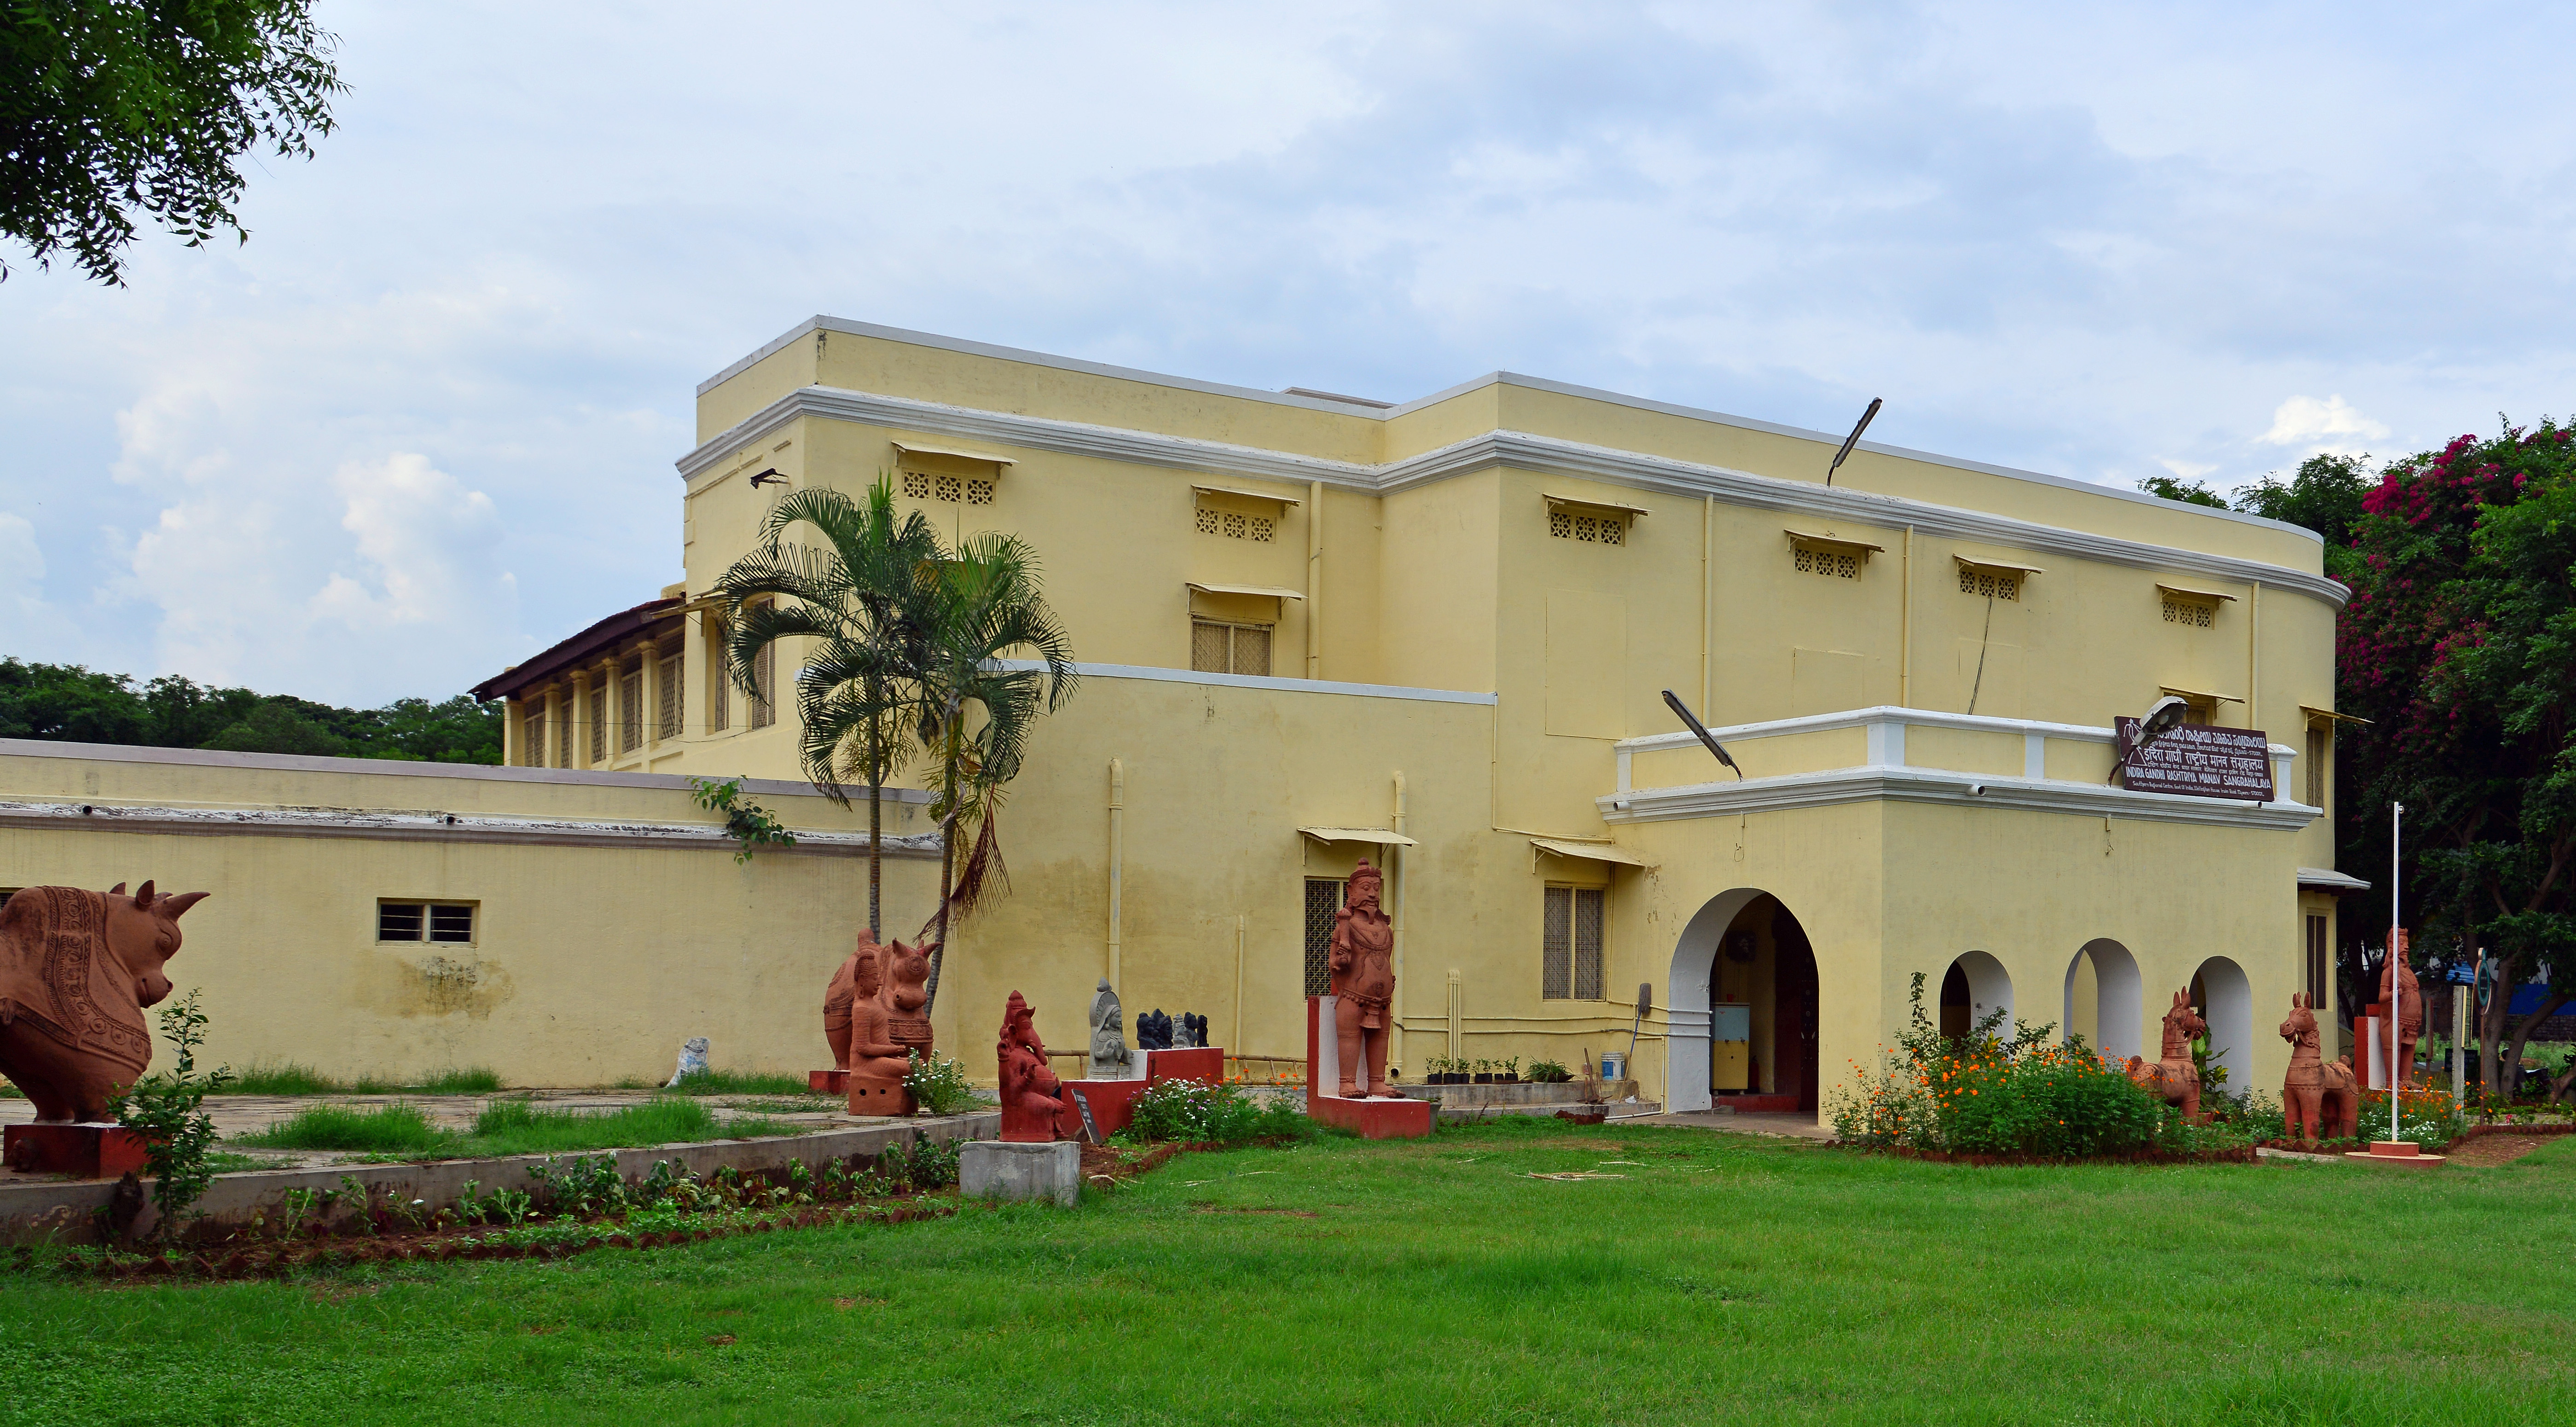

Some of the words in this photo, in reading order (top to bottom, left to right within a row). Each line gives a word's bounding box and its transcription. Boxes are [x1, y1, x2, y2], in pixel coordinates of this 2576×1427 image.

[2182, 725, 2216, 747] ರಾಫೀಯ
[2210, 729, 2269, 751] ಮಾನವ ಸಂಗ್ರಹಾಲಯ
[2124, 763, 2147, 780] INDIRA
[2129, 777, 2151, 789] Southern
[2144, 758, 2160, 770] दक्षिण
[2141, 742, 2166, 764] इन्दिरा
[2142, 766, 2168, 782] GANDHI
[2148, 779, 2164, 790] Refional
[2157, 760, 2173, 770] क्षेत्रीय
[2161, 779, 2175, 790] Centre.
[2163, 748, 2184, 765] गांधी
[2168, 760, 2181, 772] केन्द्र
[2172, 781, 2184, 793] Govt
[2164, 769, 2200, 785] RASHTRIYA
[2179, 782, 2187, 792] of
[2179, 764, 2192, 772] भारत
[2188, 764, 2204, 774] सरकार
[2184, 750, 2210, 768] राष्ट्रीय
[2197, 772, 2223, 787] MANAV
[2202, 764, 2219, 775] वेलिंगटन
[2209, 745, 2221, 755] Est
[2208, 753, 2229, 769] मानव
[2216, 767, 2229, 776] हाउस
[2225, 764, 2239, 778] इरविन
[2228, 789, 2239, 796] Road
[2237, 767, 2246, 778] रोड
[2227, 751, 2265, 774] संग्रहालय
[2222, 772, 2274, 790] SANGRAHALAYA
[2232, 745, 2265, 759] ಮೈಸೂರು-570001
[2245, 770, 2265, 780] मैसूर-570001